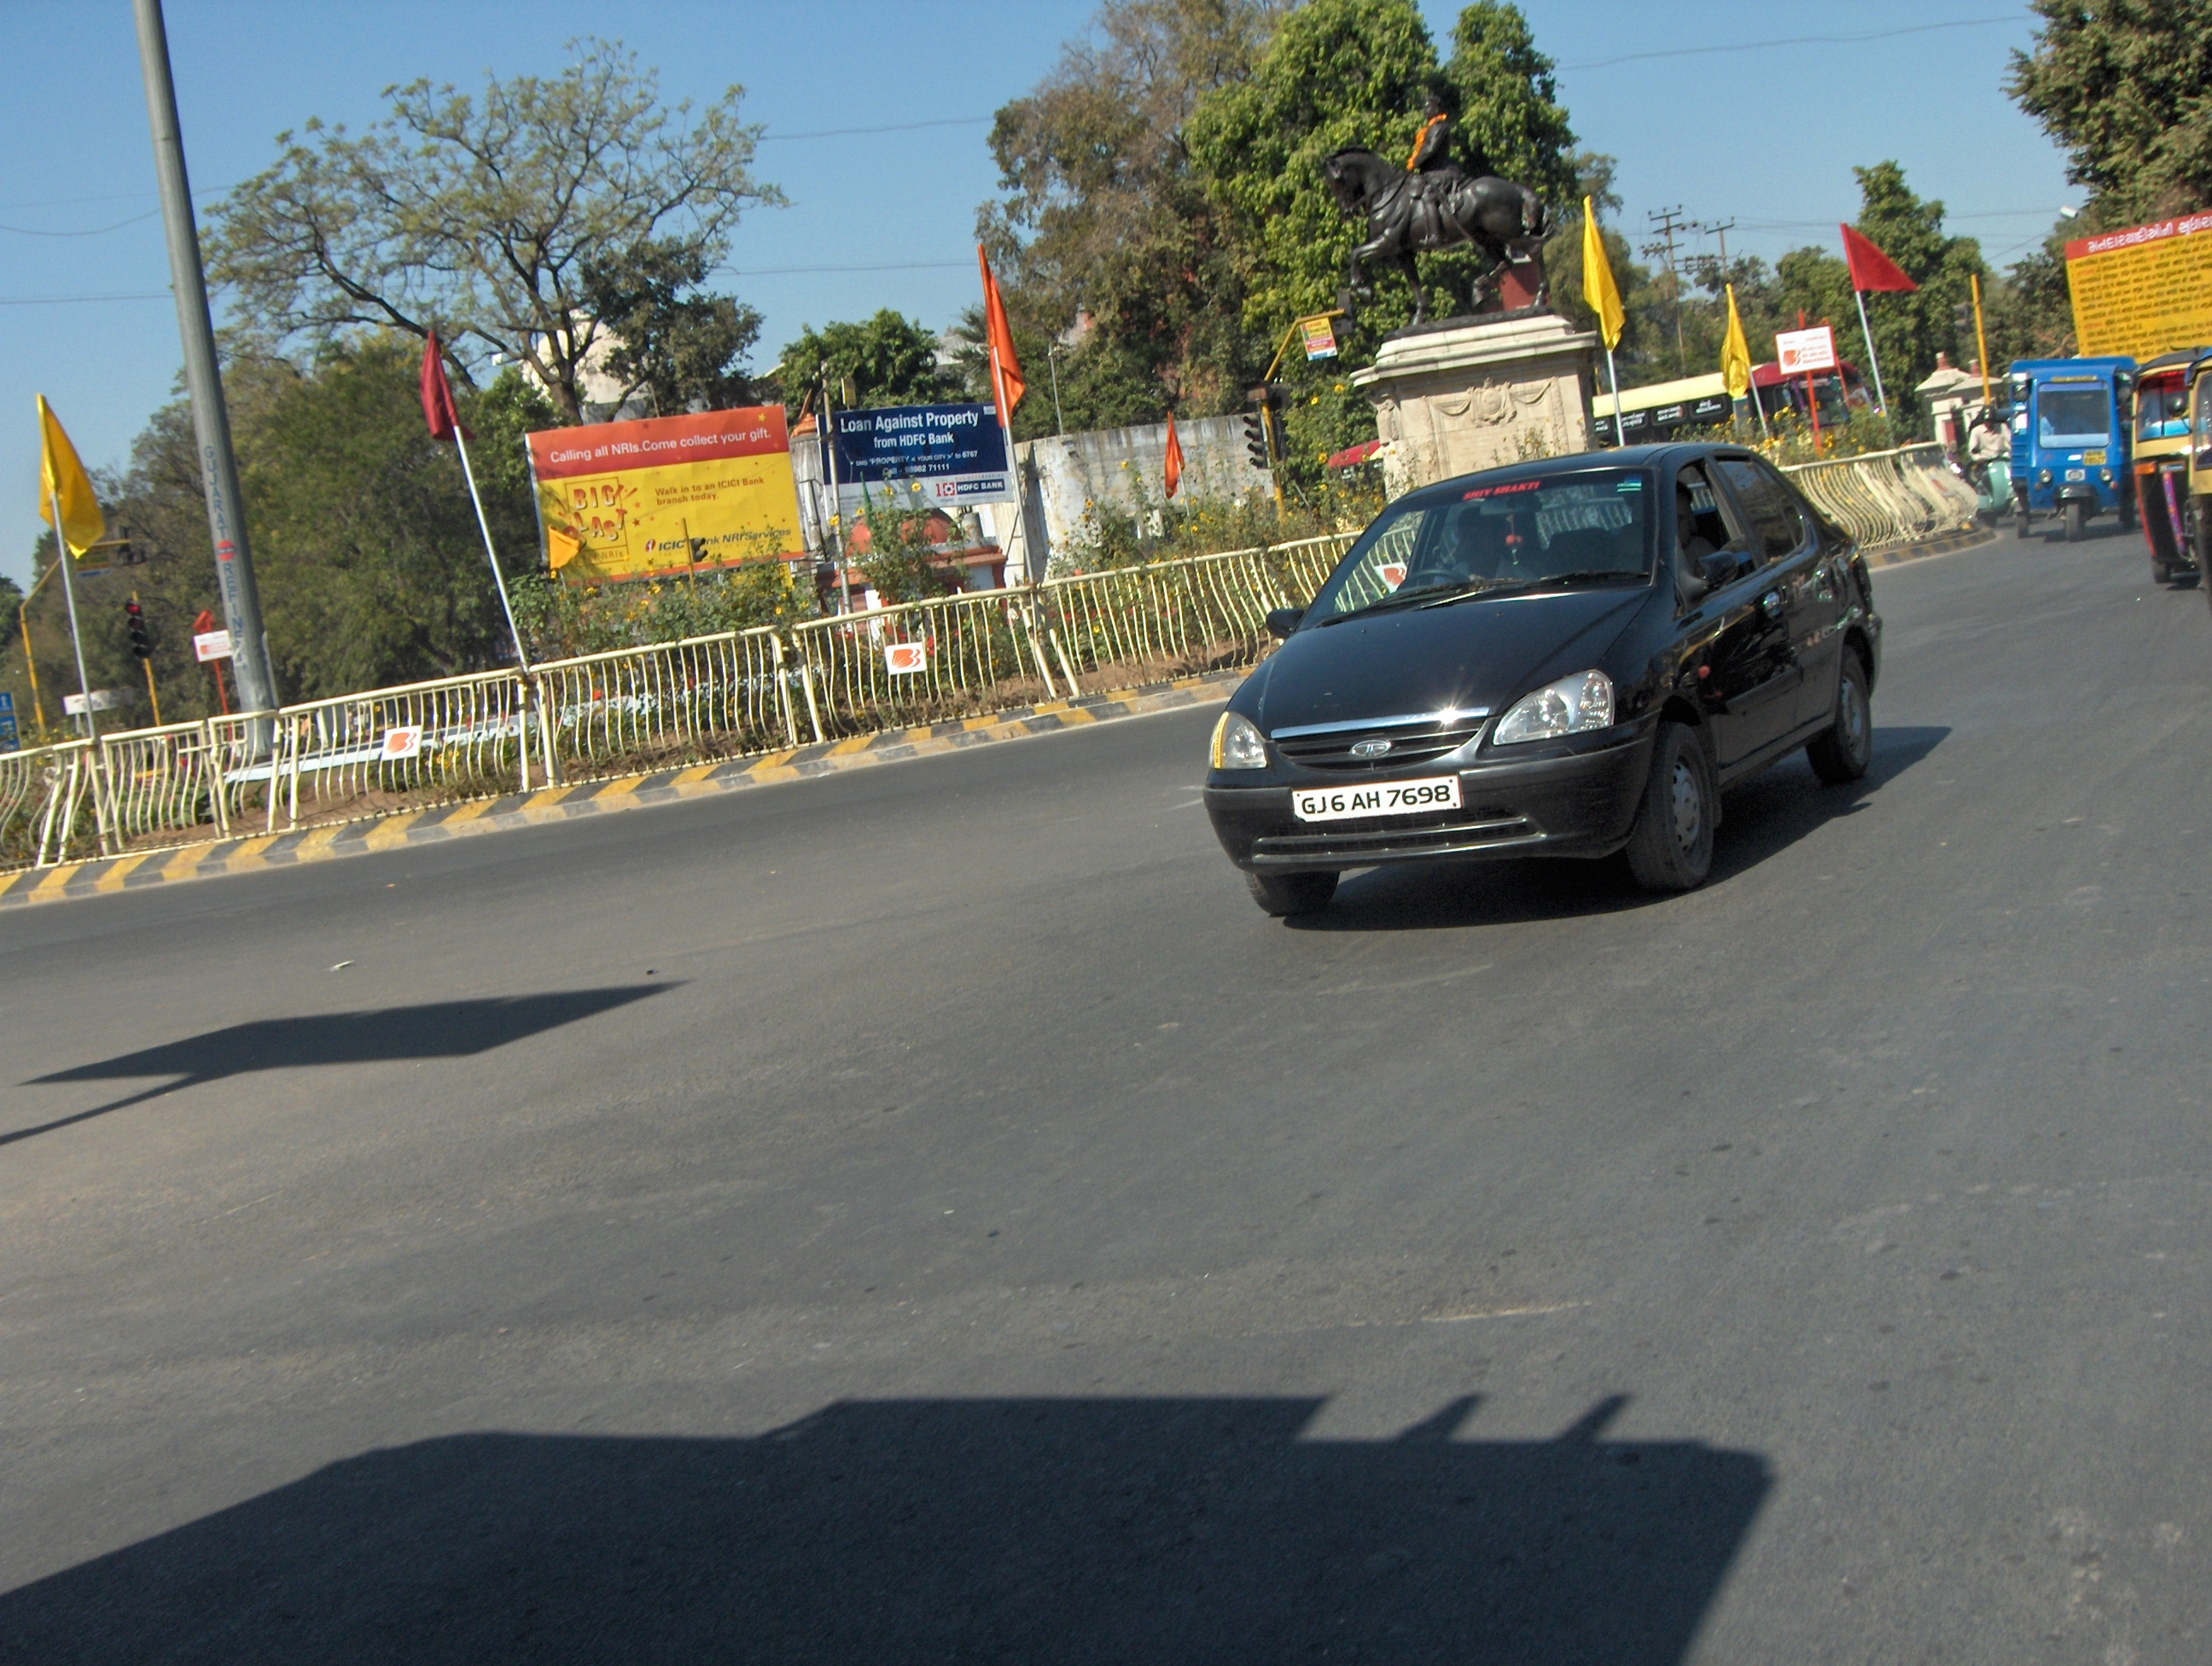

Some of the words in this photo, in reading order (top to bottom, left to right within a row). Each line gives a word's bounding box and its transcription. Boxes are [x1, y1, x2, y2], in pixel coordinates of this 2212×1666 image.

[2085, 220, 2175, 253] મતદારયાદીઓની
[547, 445, 594, 464] Calling
[592, 440, 610, 459] લઈ1
[610, 442, 643, 457] NRls.
[641, 438, 678, 452] Come
[678, 433, 719, 448] collect
[719, 429, 747, 446] your
[748, 425, 771, 445] gift.
[838, 416, 872, 433] Loan
[871, 434, 897, 448] from
[873, 411, 924, 434] Against
[897, 431, 927, 447] HDFC
[927, 430, 955, 445] Bank
[924, 405, 982, 431] Property
[199, 441, 231, 543] GUJARAT
[571, 486, 590, 510] B
[587, 483, 600, 510] I
[598, 482, 620, 509] G
[569, 504, 632, 545] LAST
[217, 558, 247, 631] REFIN
[1298, 794, 1330, 817] GJ
[1328, 791, 1347, 816] 6
[1348, 790, 1382, 812] AH
[1383, 783, 1450, 807] 7698